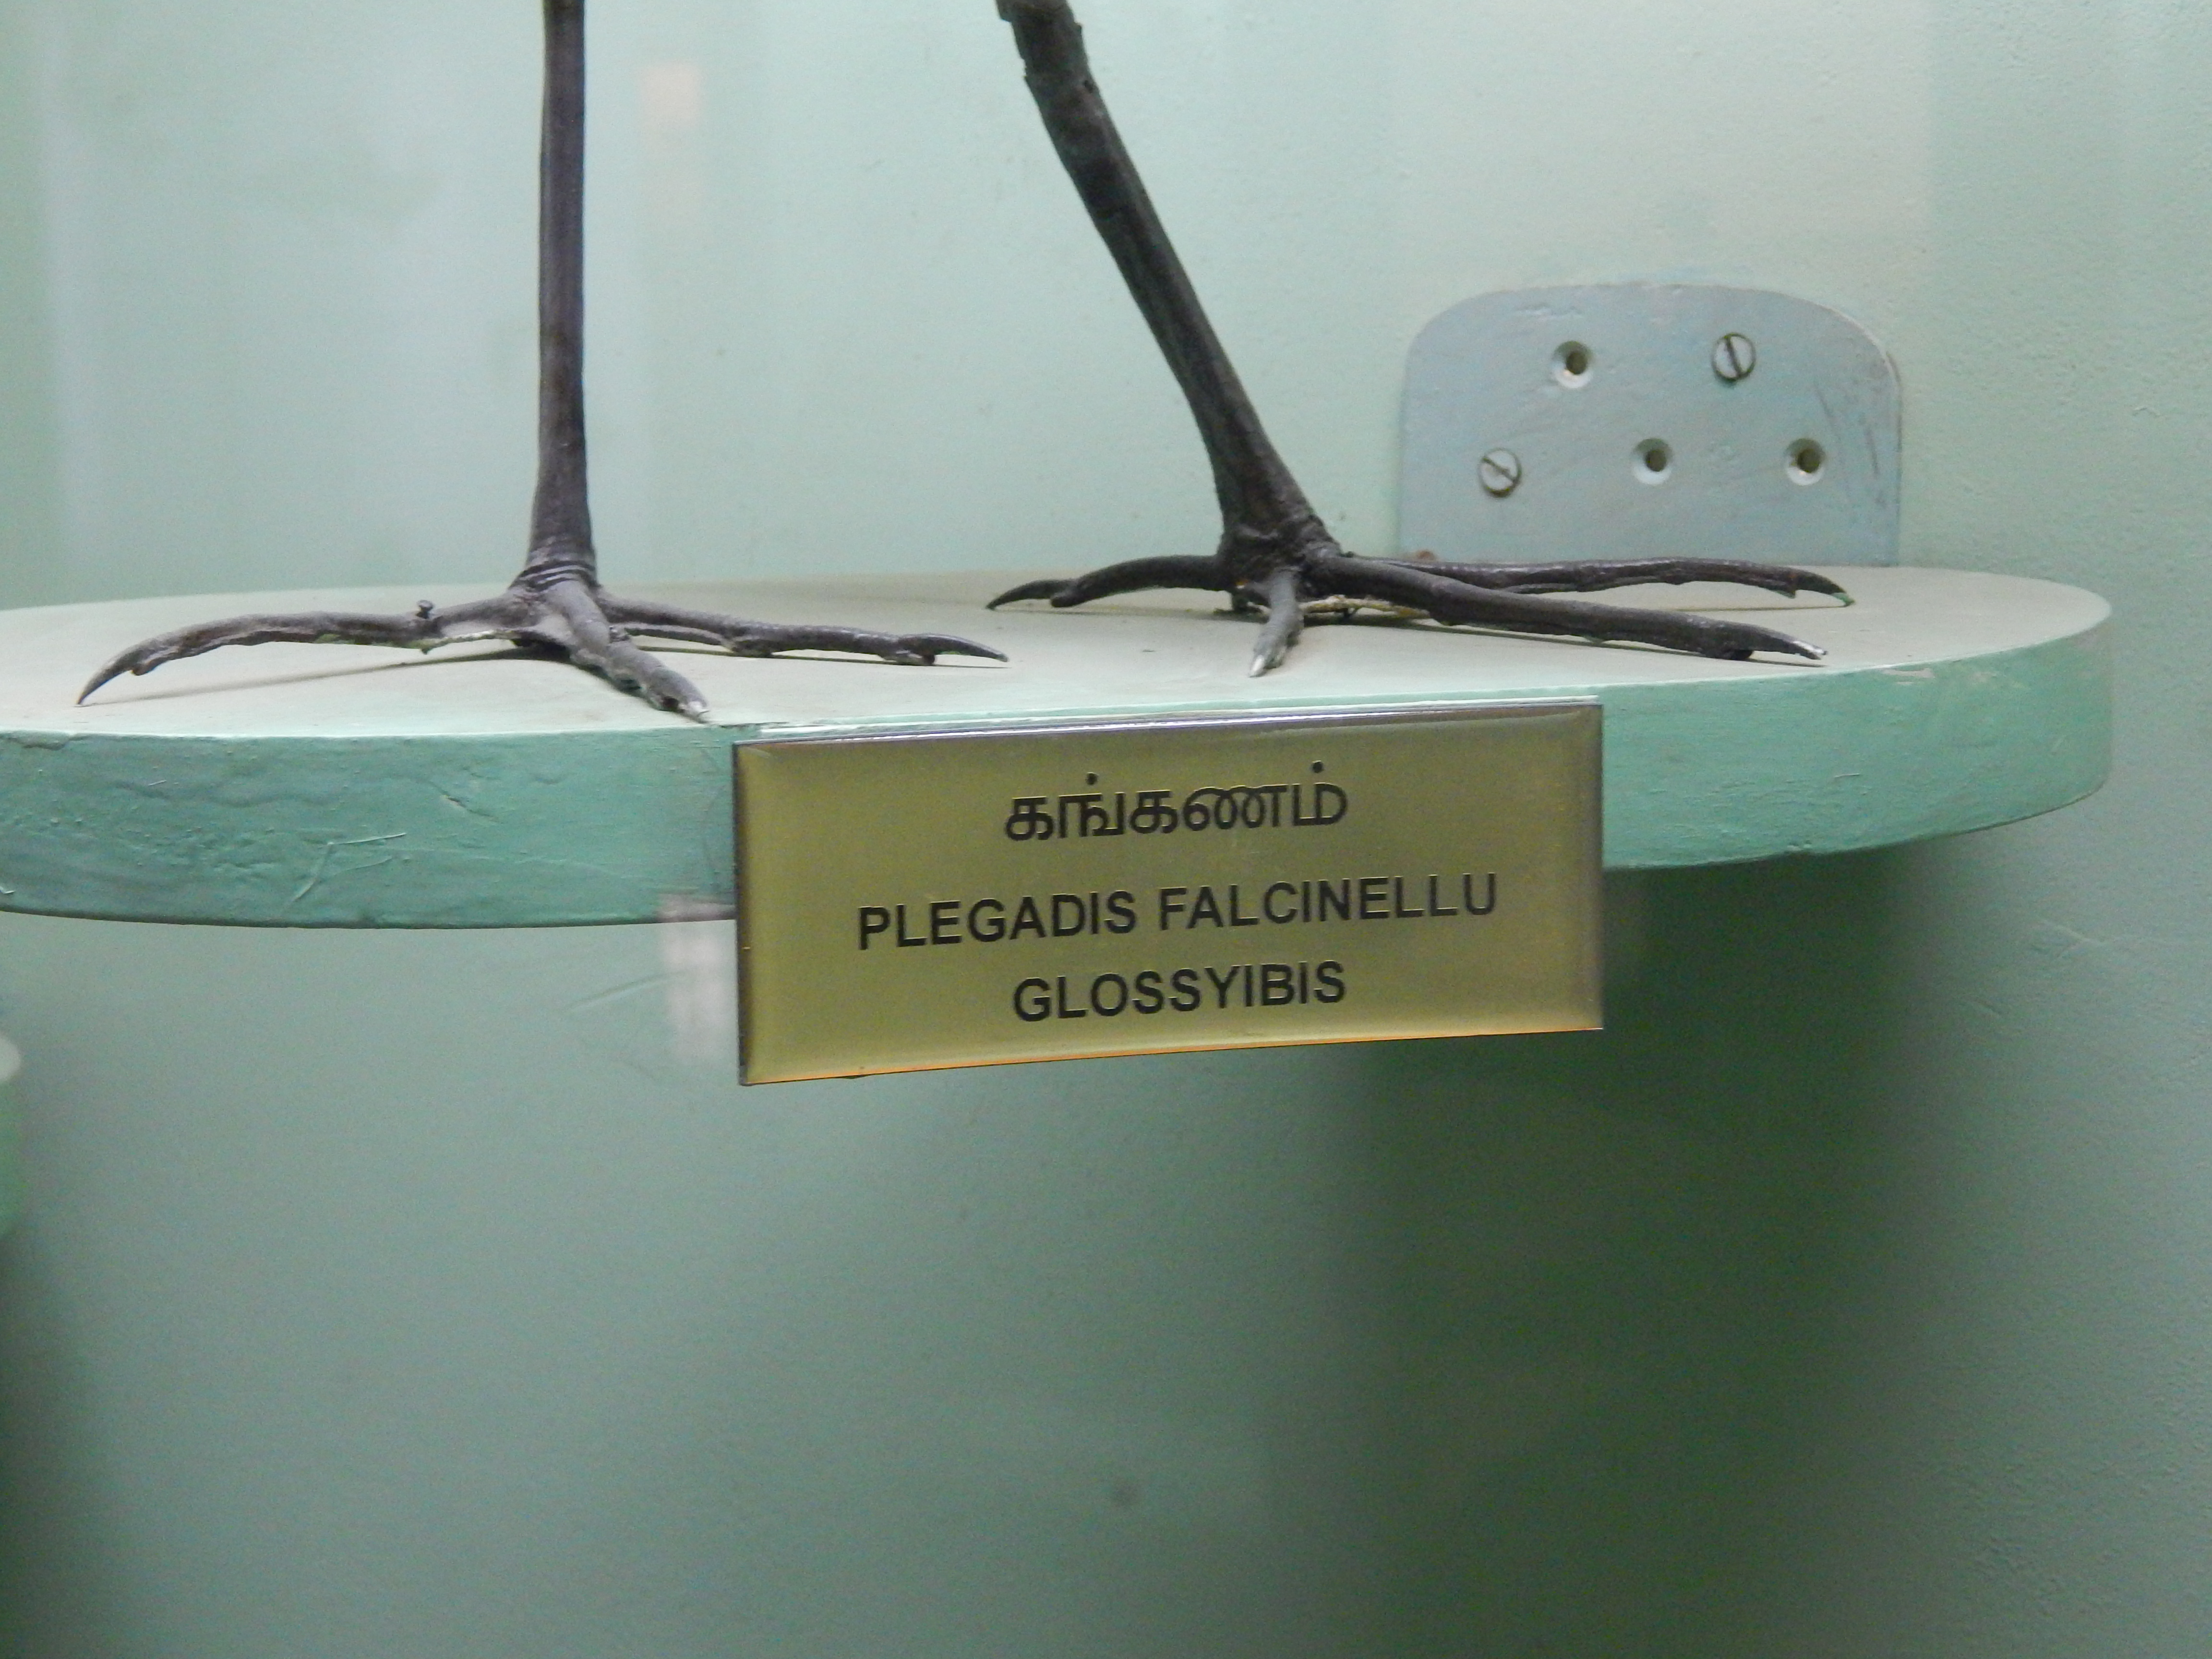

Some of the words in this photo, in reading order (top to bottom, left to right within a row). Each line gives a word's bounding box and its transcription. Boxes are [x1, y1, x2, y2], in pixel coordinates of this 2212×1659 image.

[998, 752, 1356, 846] கங்கணம்
[856, 884, 1146, 955] PLEGADIS
[1153, 867, 1502, 934] FALCINELLU
[1008, 955, 1351, 1028] GLOSSYIBIS